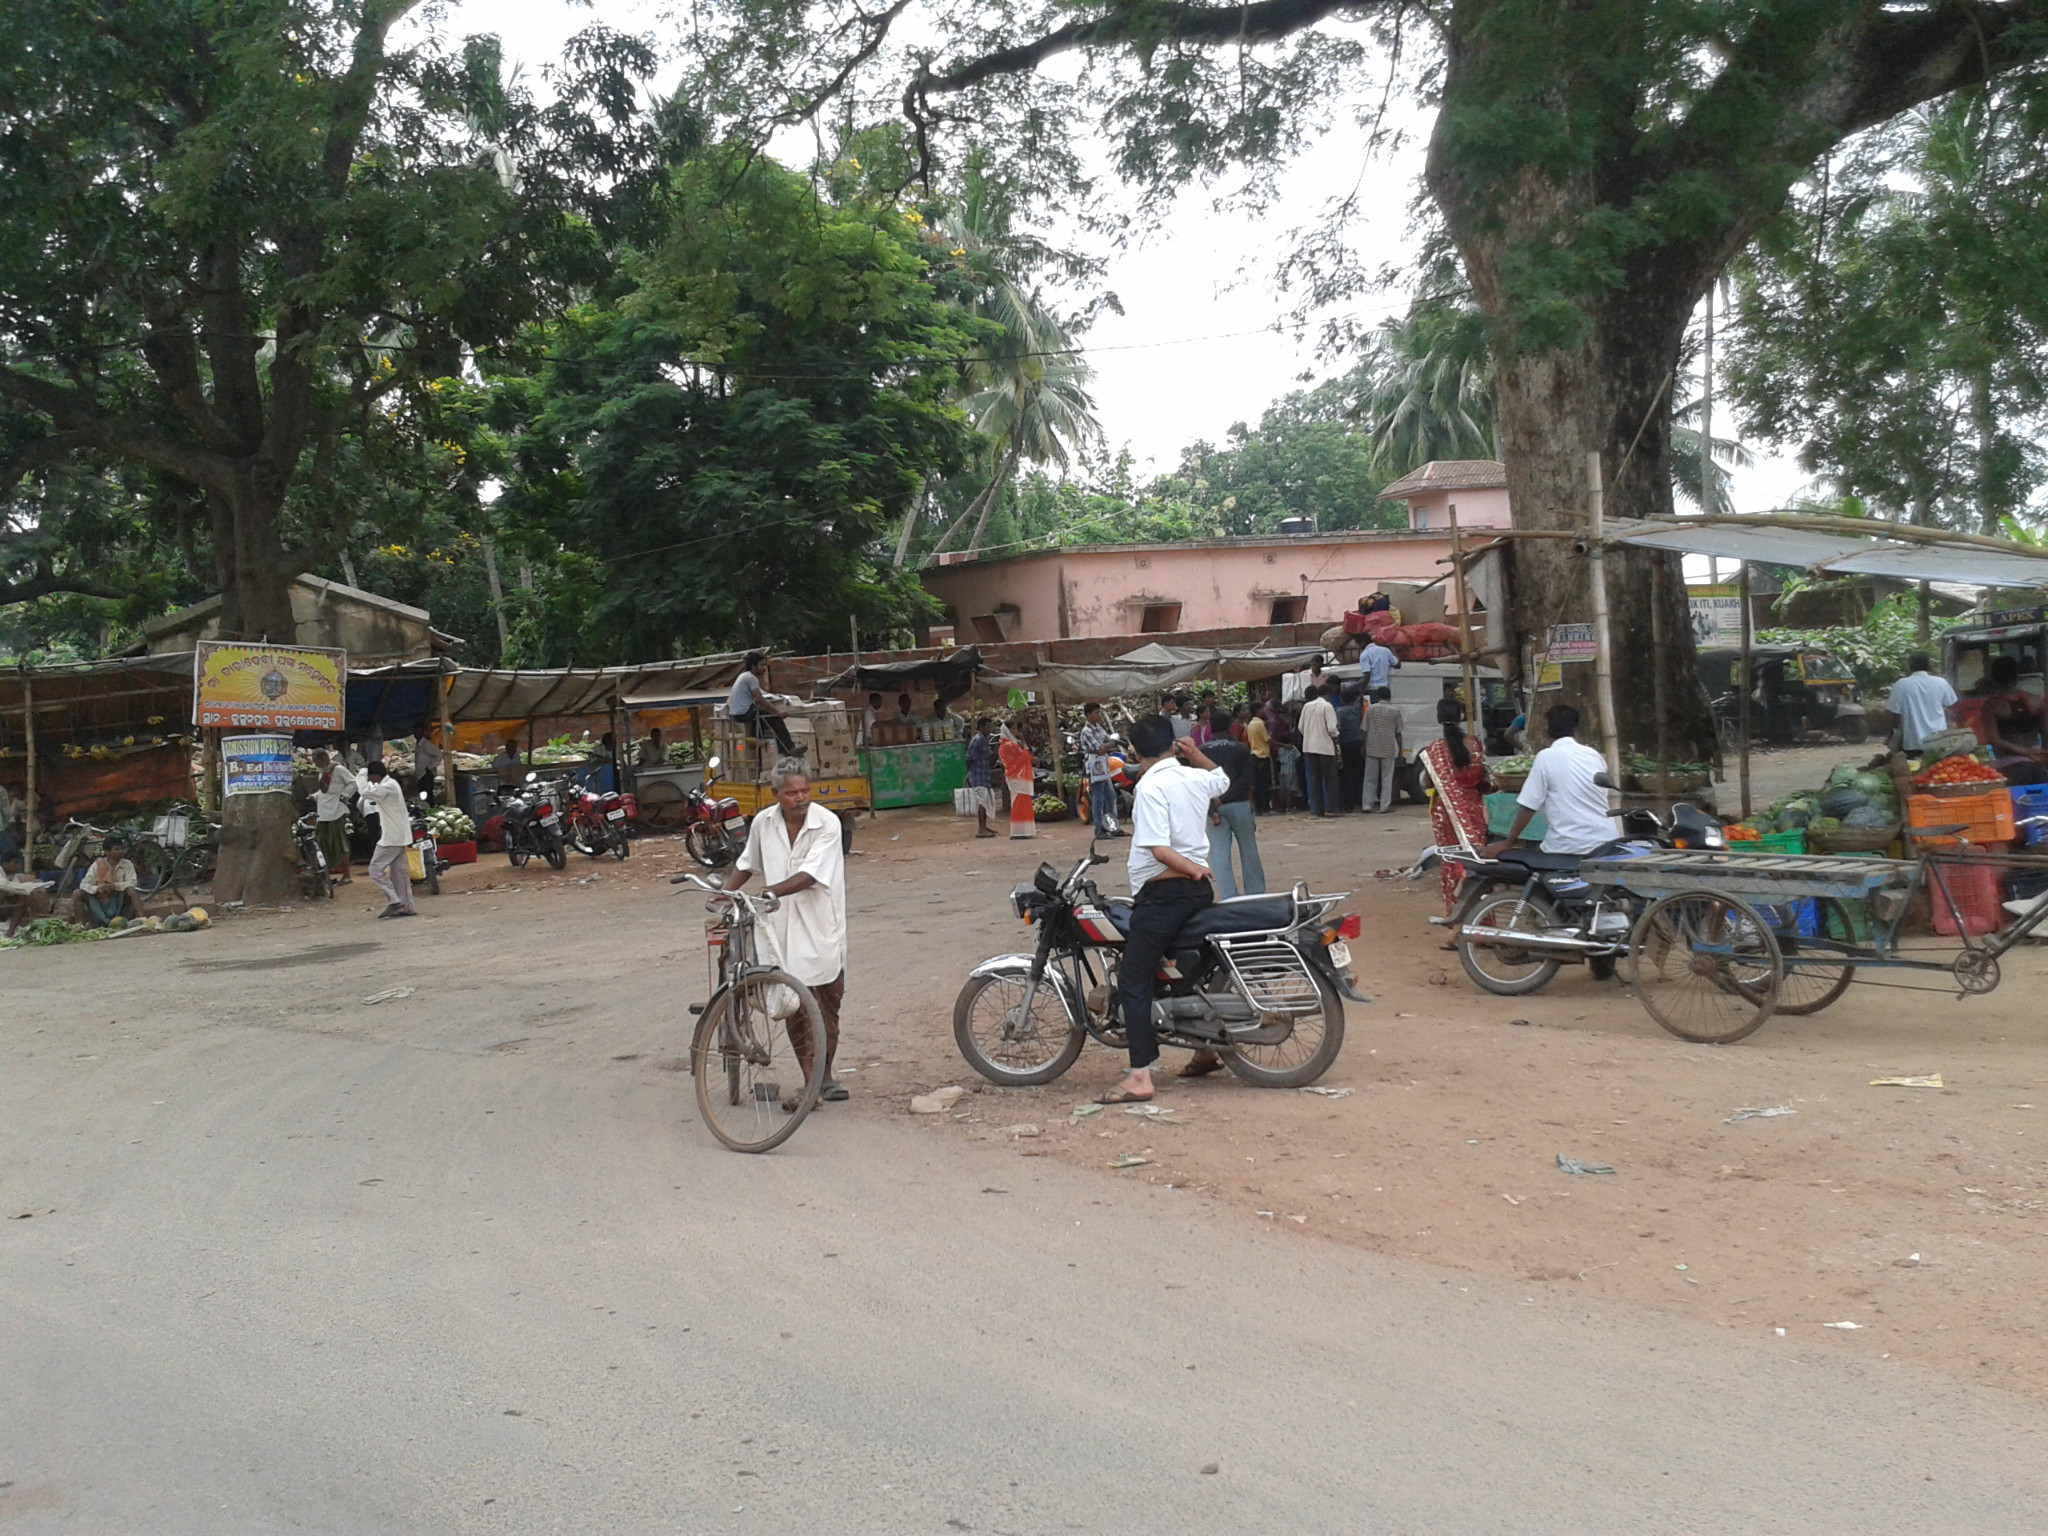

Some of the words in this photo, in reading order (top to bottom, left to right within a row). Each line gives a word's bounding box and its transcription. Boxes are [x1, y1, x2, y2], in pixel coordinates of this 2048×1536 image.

[202, 672, 229, 699] ମା
[268, 709, 340, 732] ପୁରୁଷୋତ୍ତମପୁର